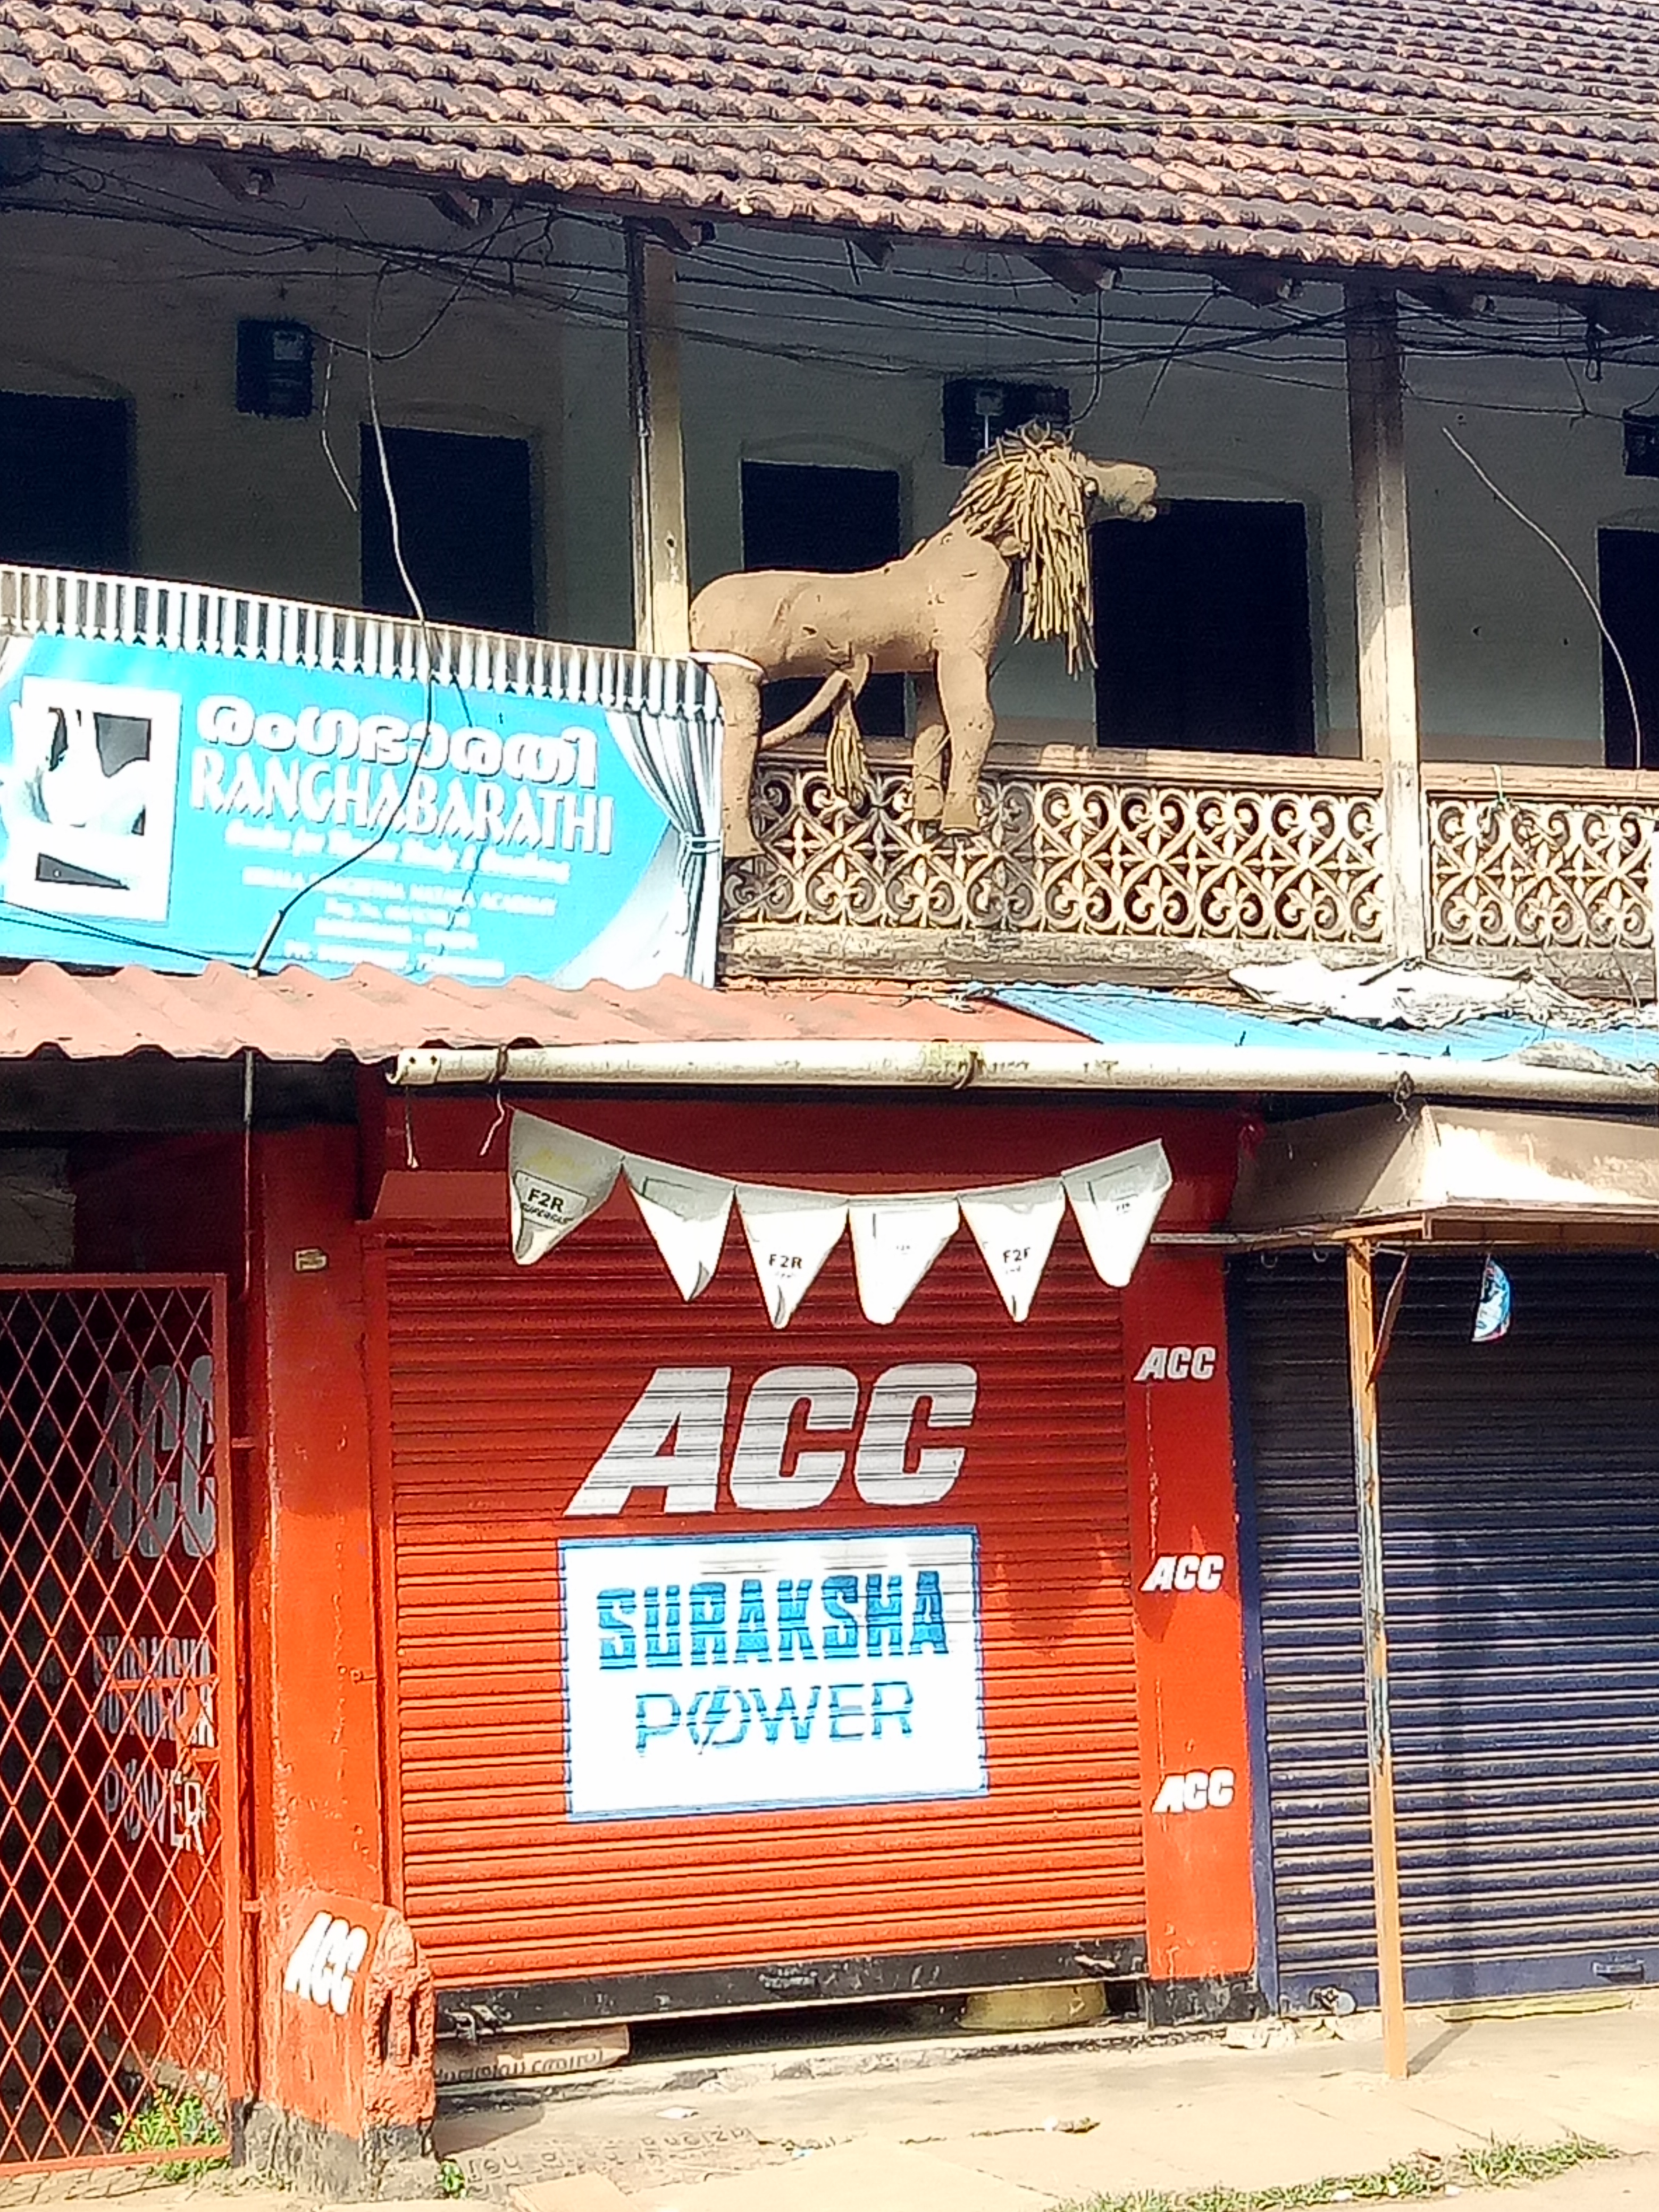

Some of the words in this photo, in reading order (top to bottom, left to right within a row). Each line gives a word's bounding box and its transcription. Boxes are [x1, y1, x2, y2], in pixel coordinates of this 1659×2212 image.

[187, 686, 604, 795] രംഗഭാരതി
[183, 738, 621, 864] RANGHABARATHI
[1126, 1337, 1220, 1390] ACC
[550, 1355, 990, 1521] ACC
[592, 1564, 958, 1675] SURAKSHA
[1133, 1548, 1230, 1601] ACC
[618, 1679, 914, 1759] POWER
[1147, 1765, 1237, 1825] ACC